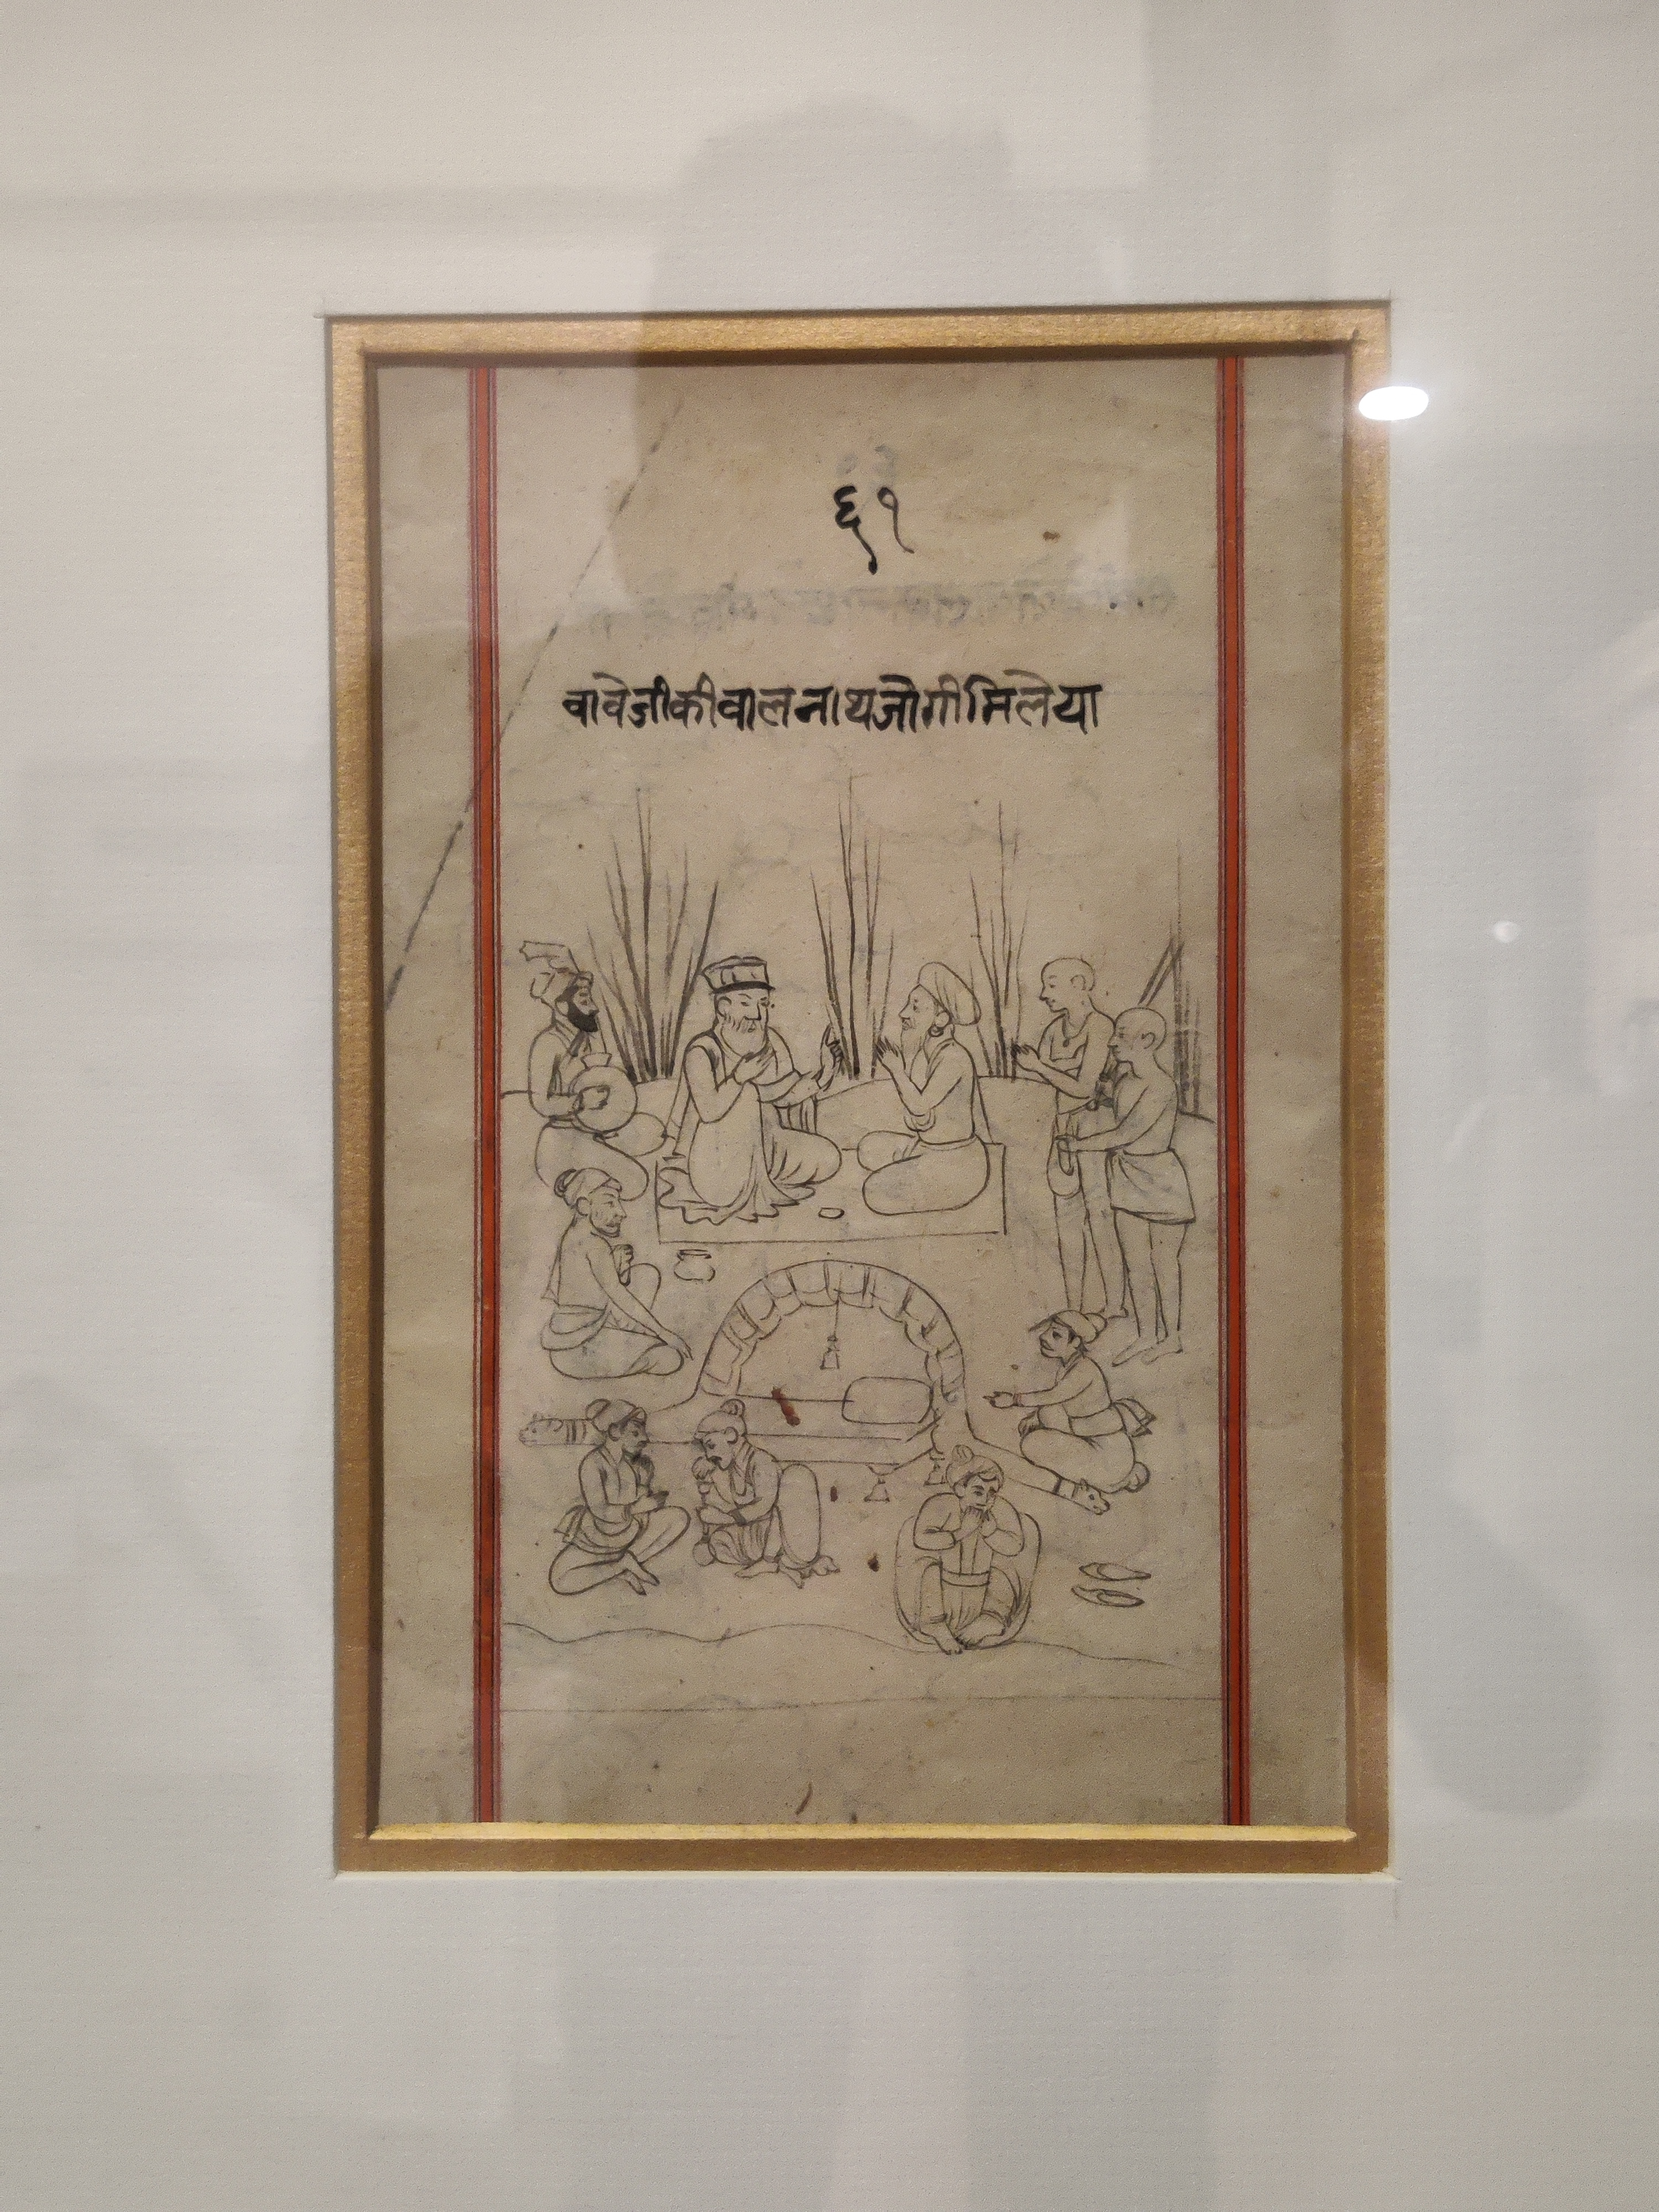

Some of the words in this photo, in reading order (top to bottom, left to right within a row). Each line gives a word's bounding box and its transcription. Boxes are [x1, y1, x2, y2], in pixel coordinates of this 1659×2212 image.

[833, 483, 915, 575] ६१
[560, 666, 1105, 735] वावेजीकीवालनाथजोगीमिलया